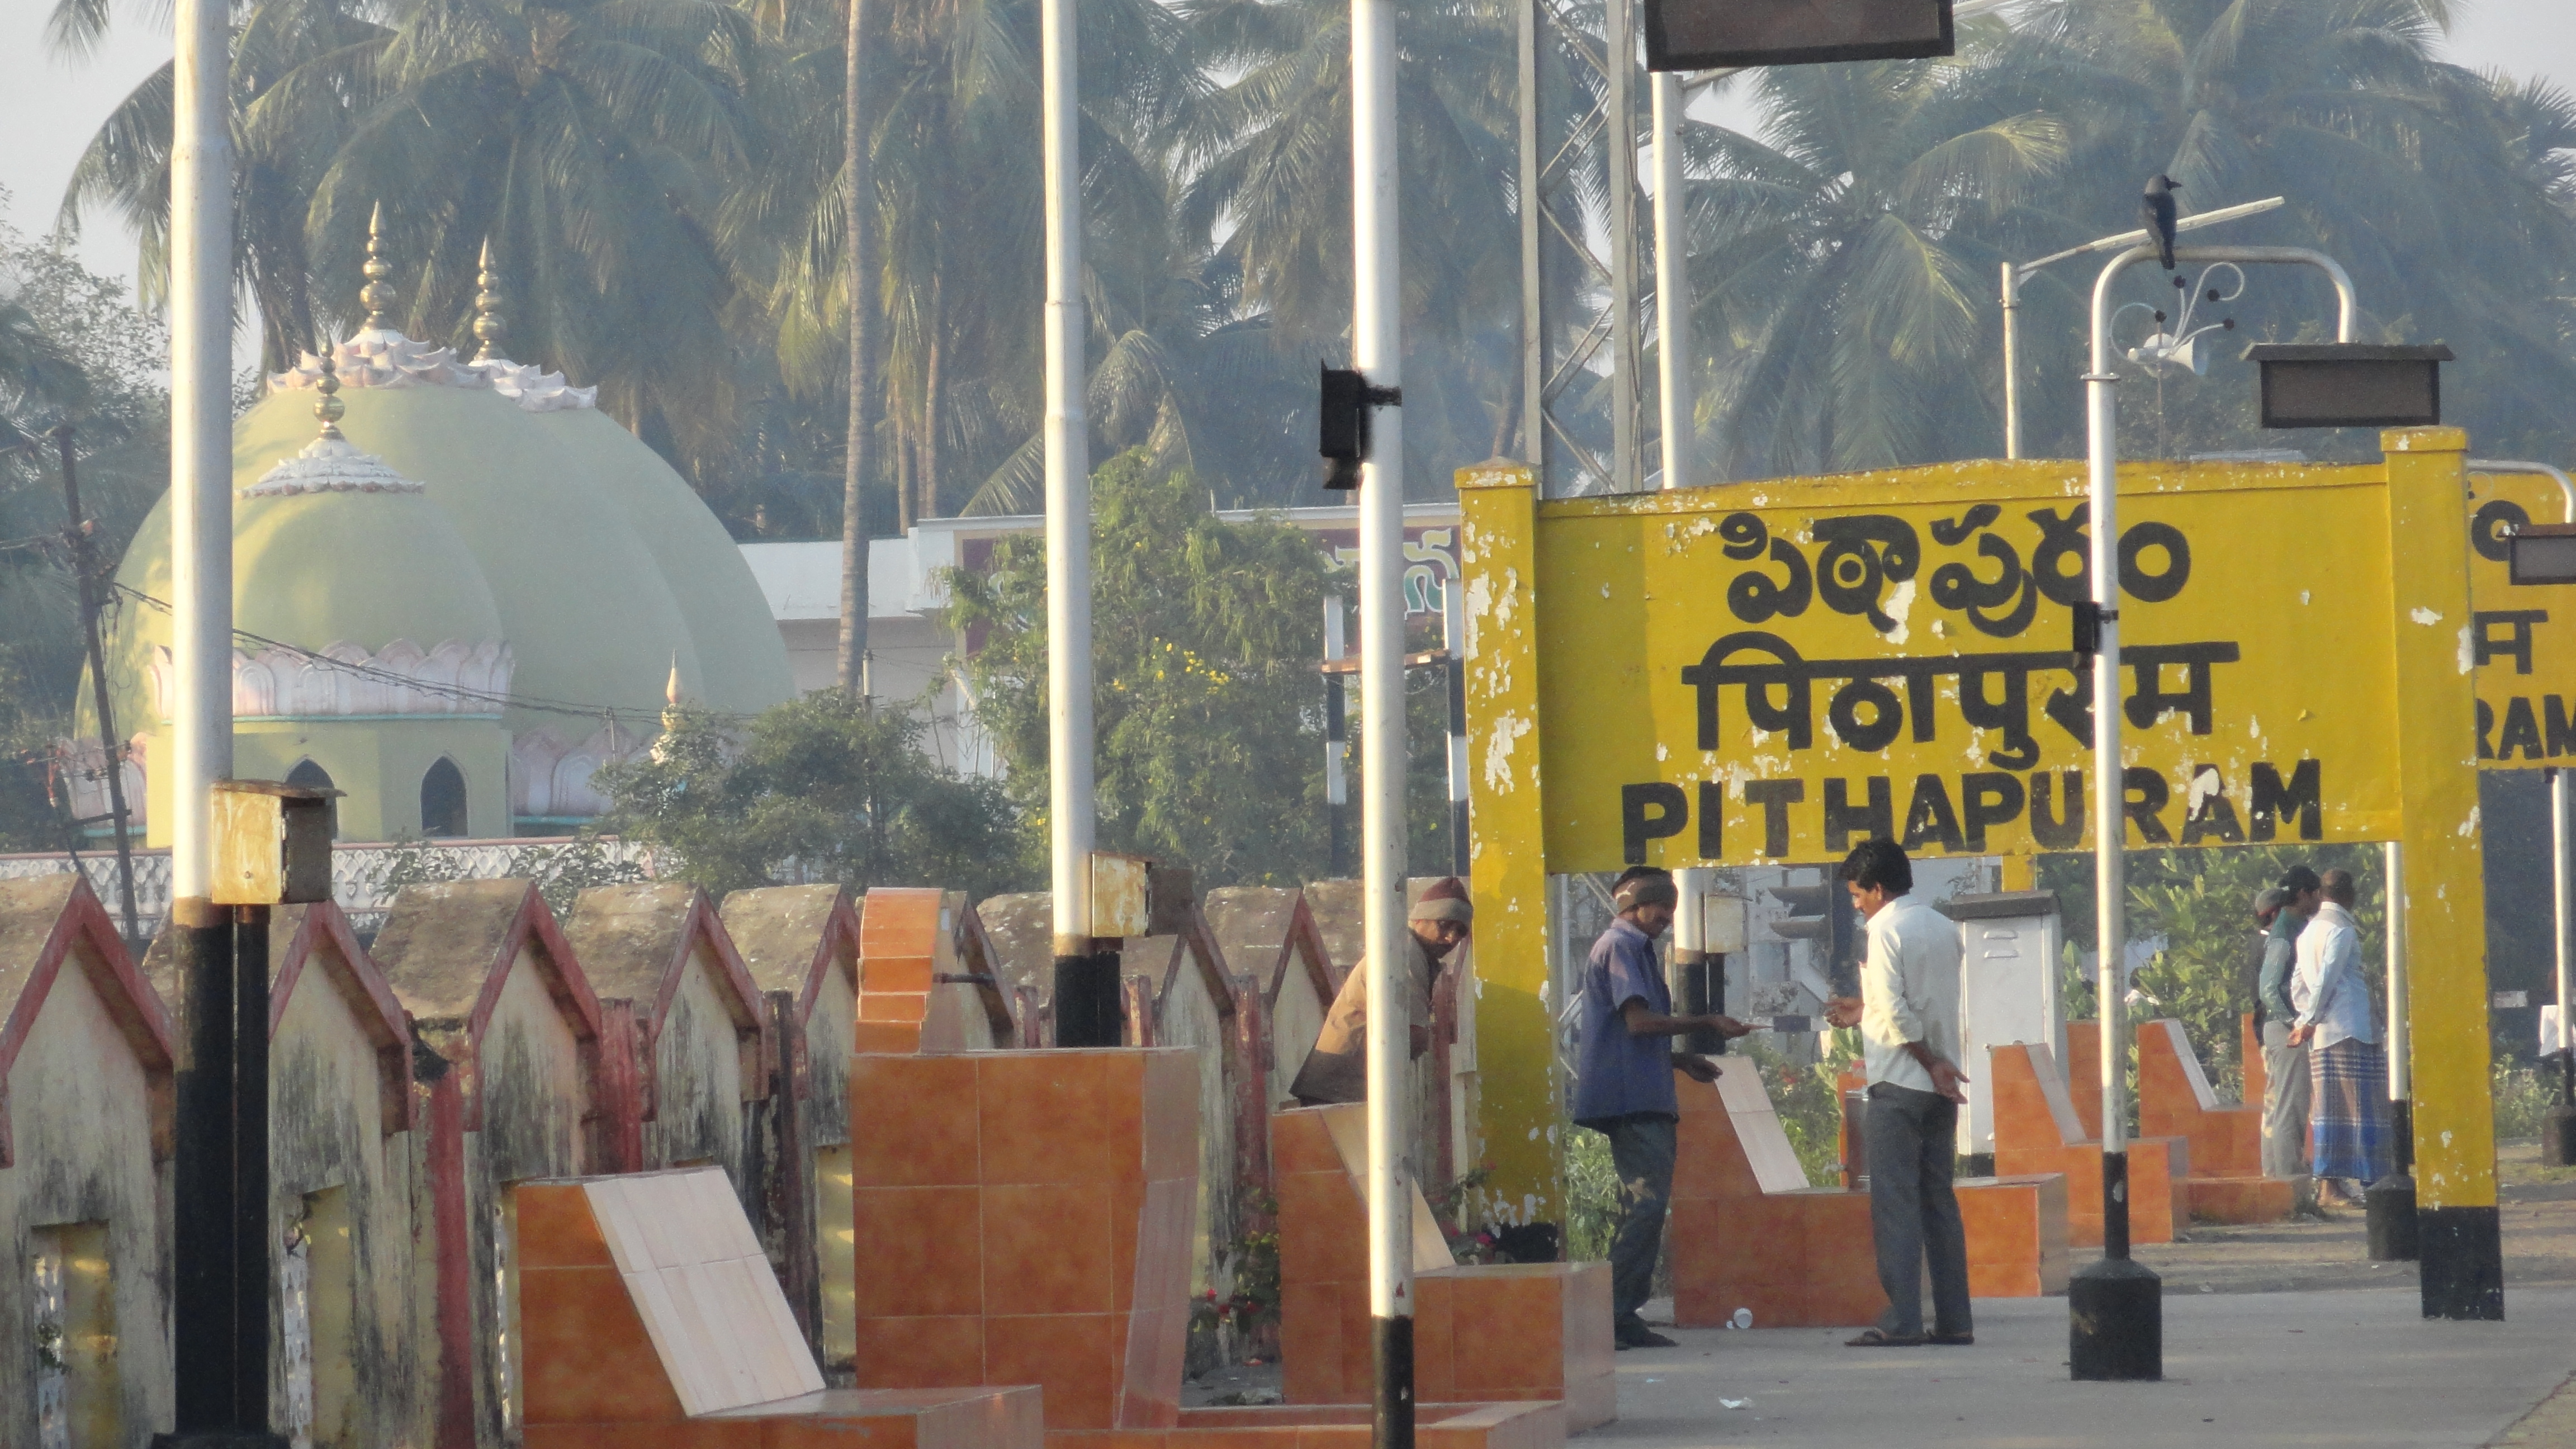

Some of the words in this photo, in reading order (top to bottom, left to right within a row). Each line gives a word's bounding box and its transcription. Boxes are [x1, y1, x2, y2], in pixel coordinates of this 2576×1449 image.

[1701, 490, 2195, 645] పిఠాపురం
[1670, 622, 2244, 774] पिठापुरम
[1617, 755, 2327, 871] PITHAPURAM